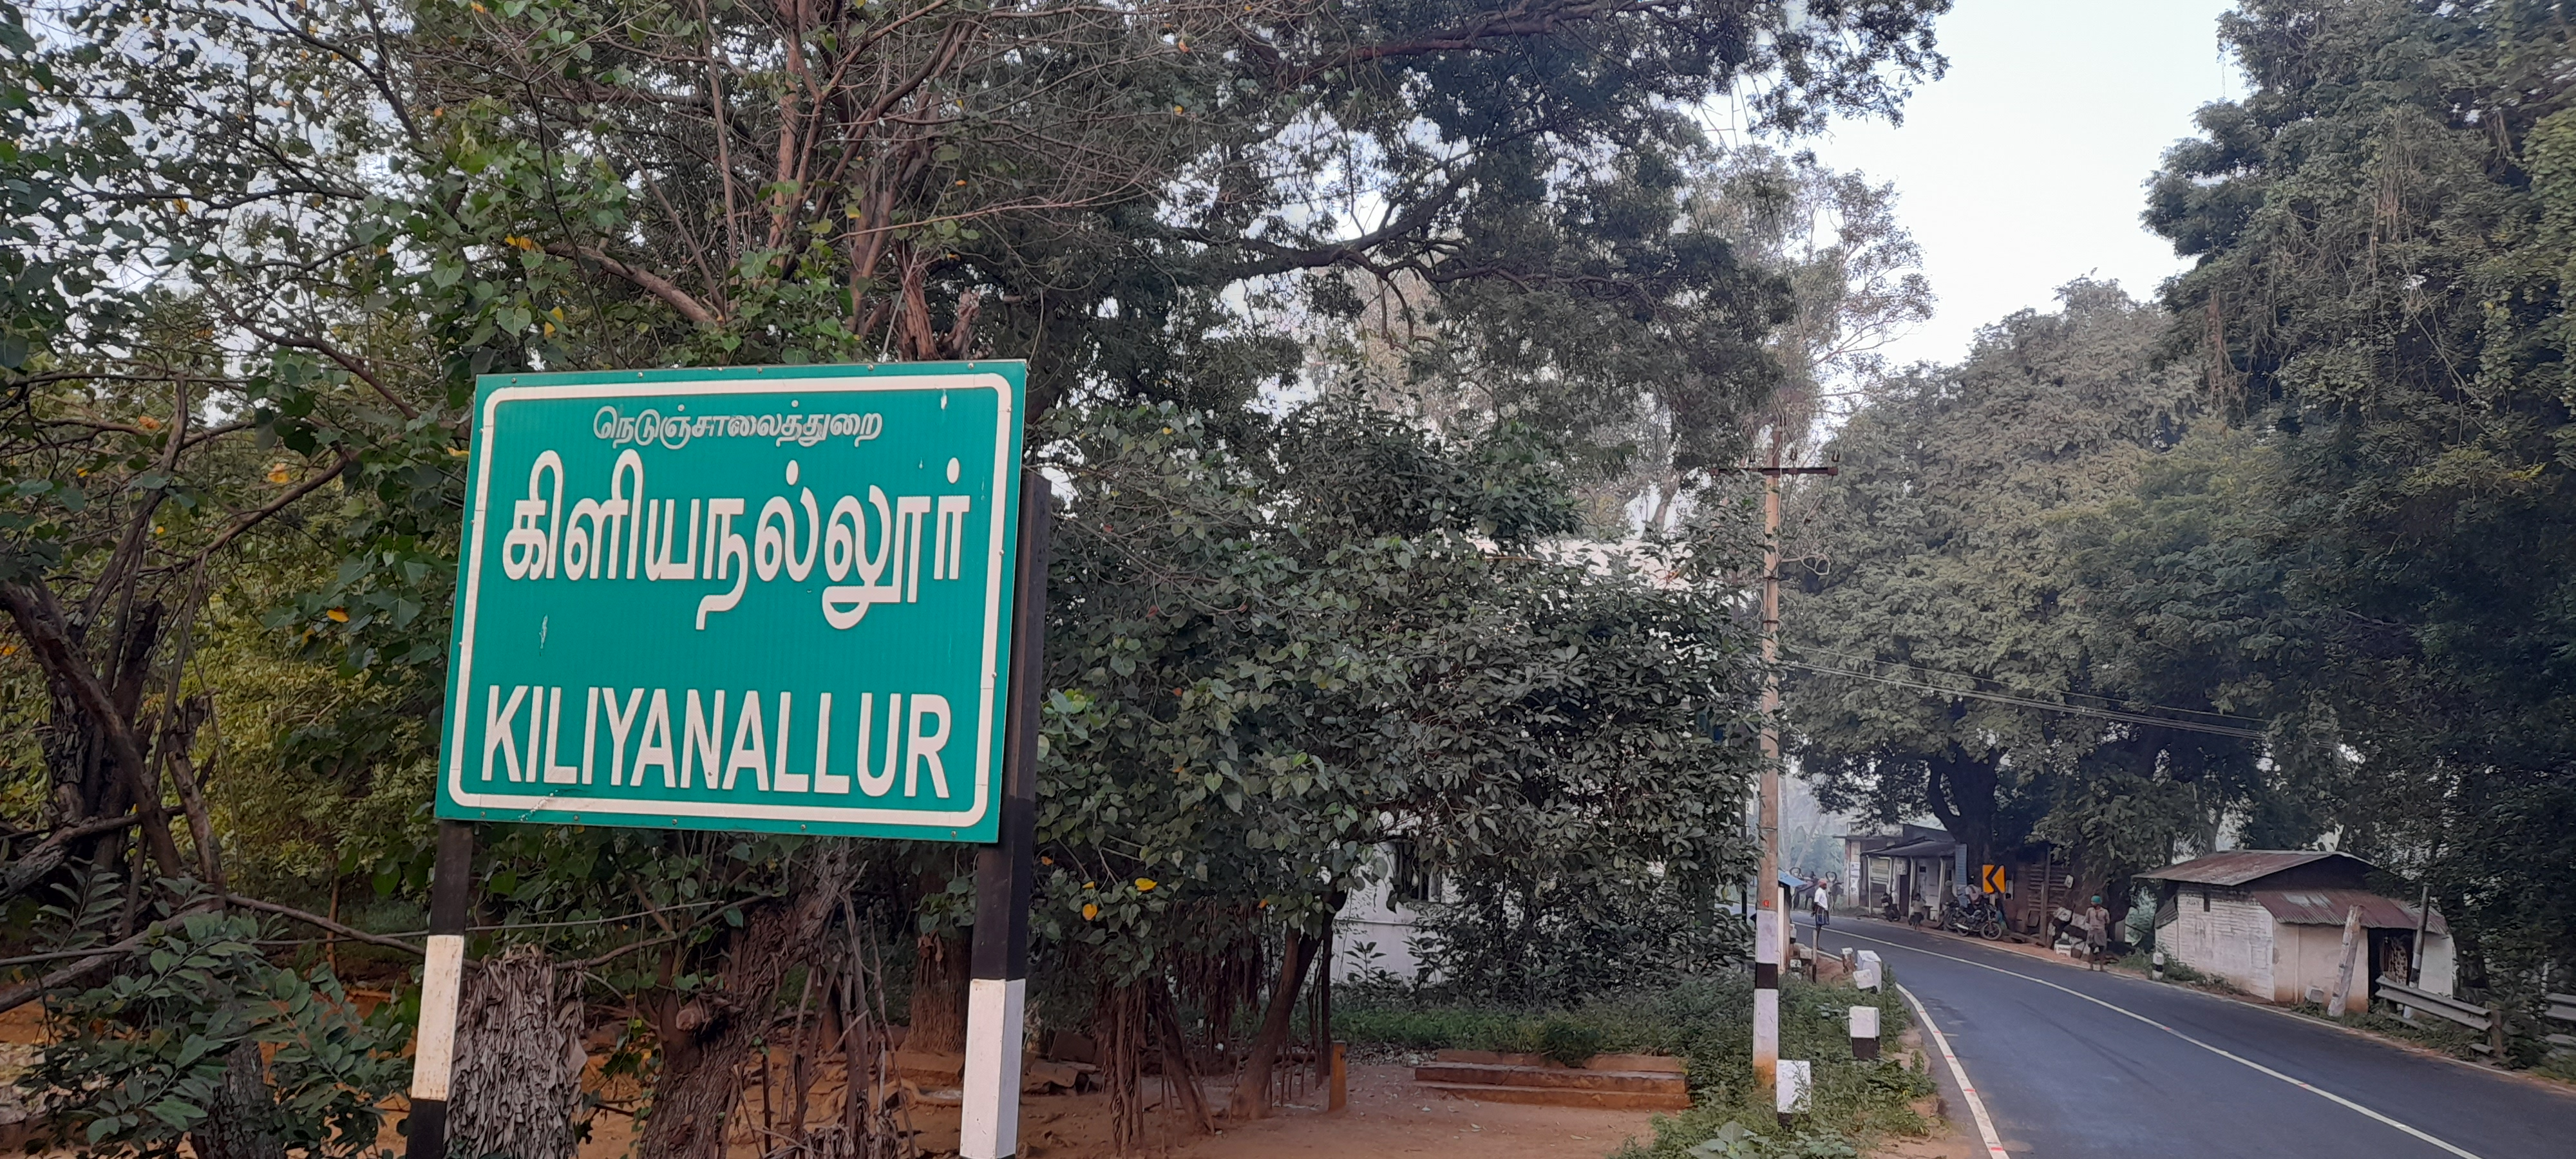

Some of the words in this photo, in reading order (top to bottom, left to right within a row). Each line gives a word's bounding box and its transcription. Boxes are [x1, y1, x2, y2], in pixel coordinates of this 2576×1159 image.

[589, 393, 885, 451] நெடுஞ்சாலைத்துறை
[497, 444, 973, 635] கிளியநல்லூா்
[476, 681, 957, 804] KILIYANALLUR